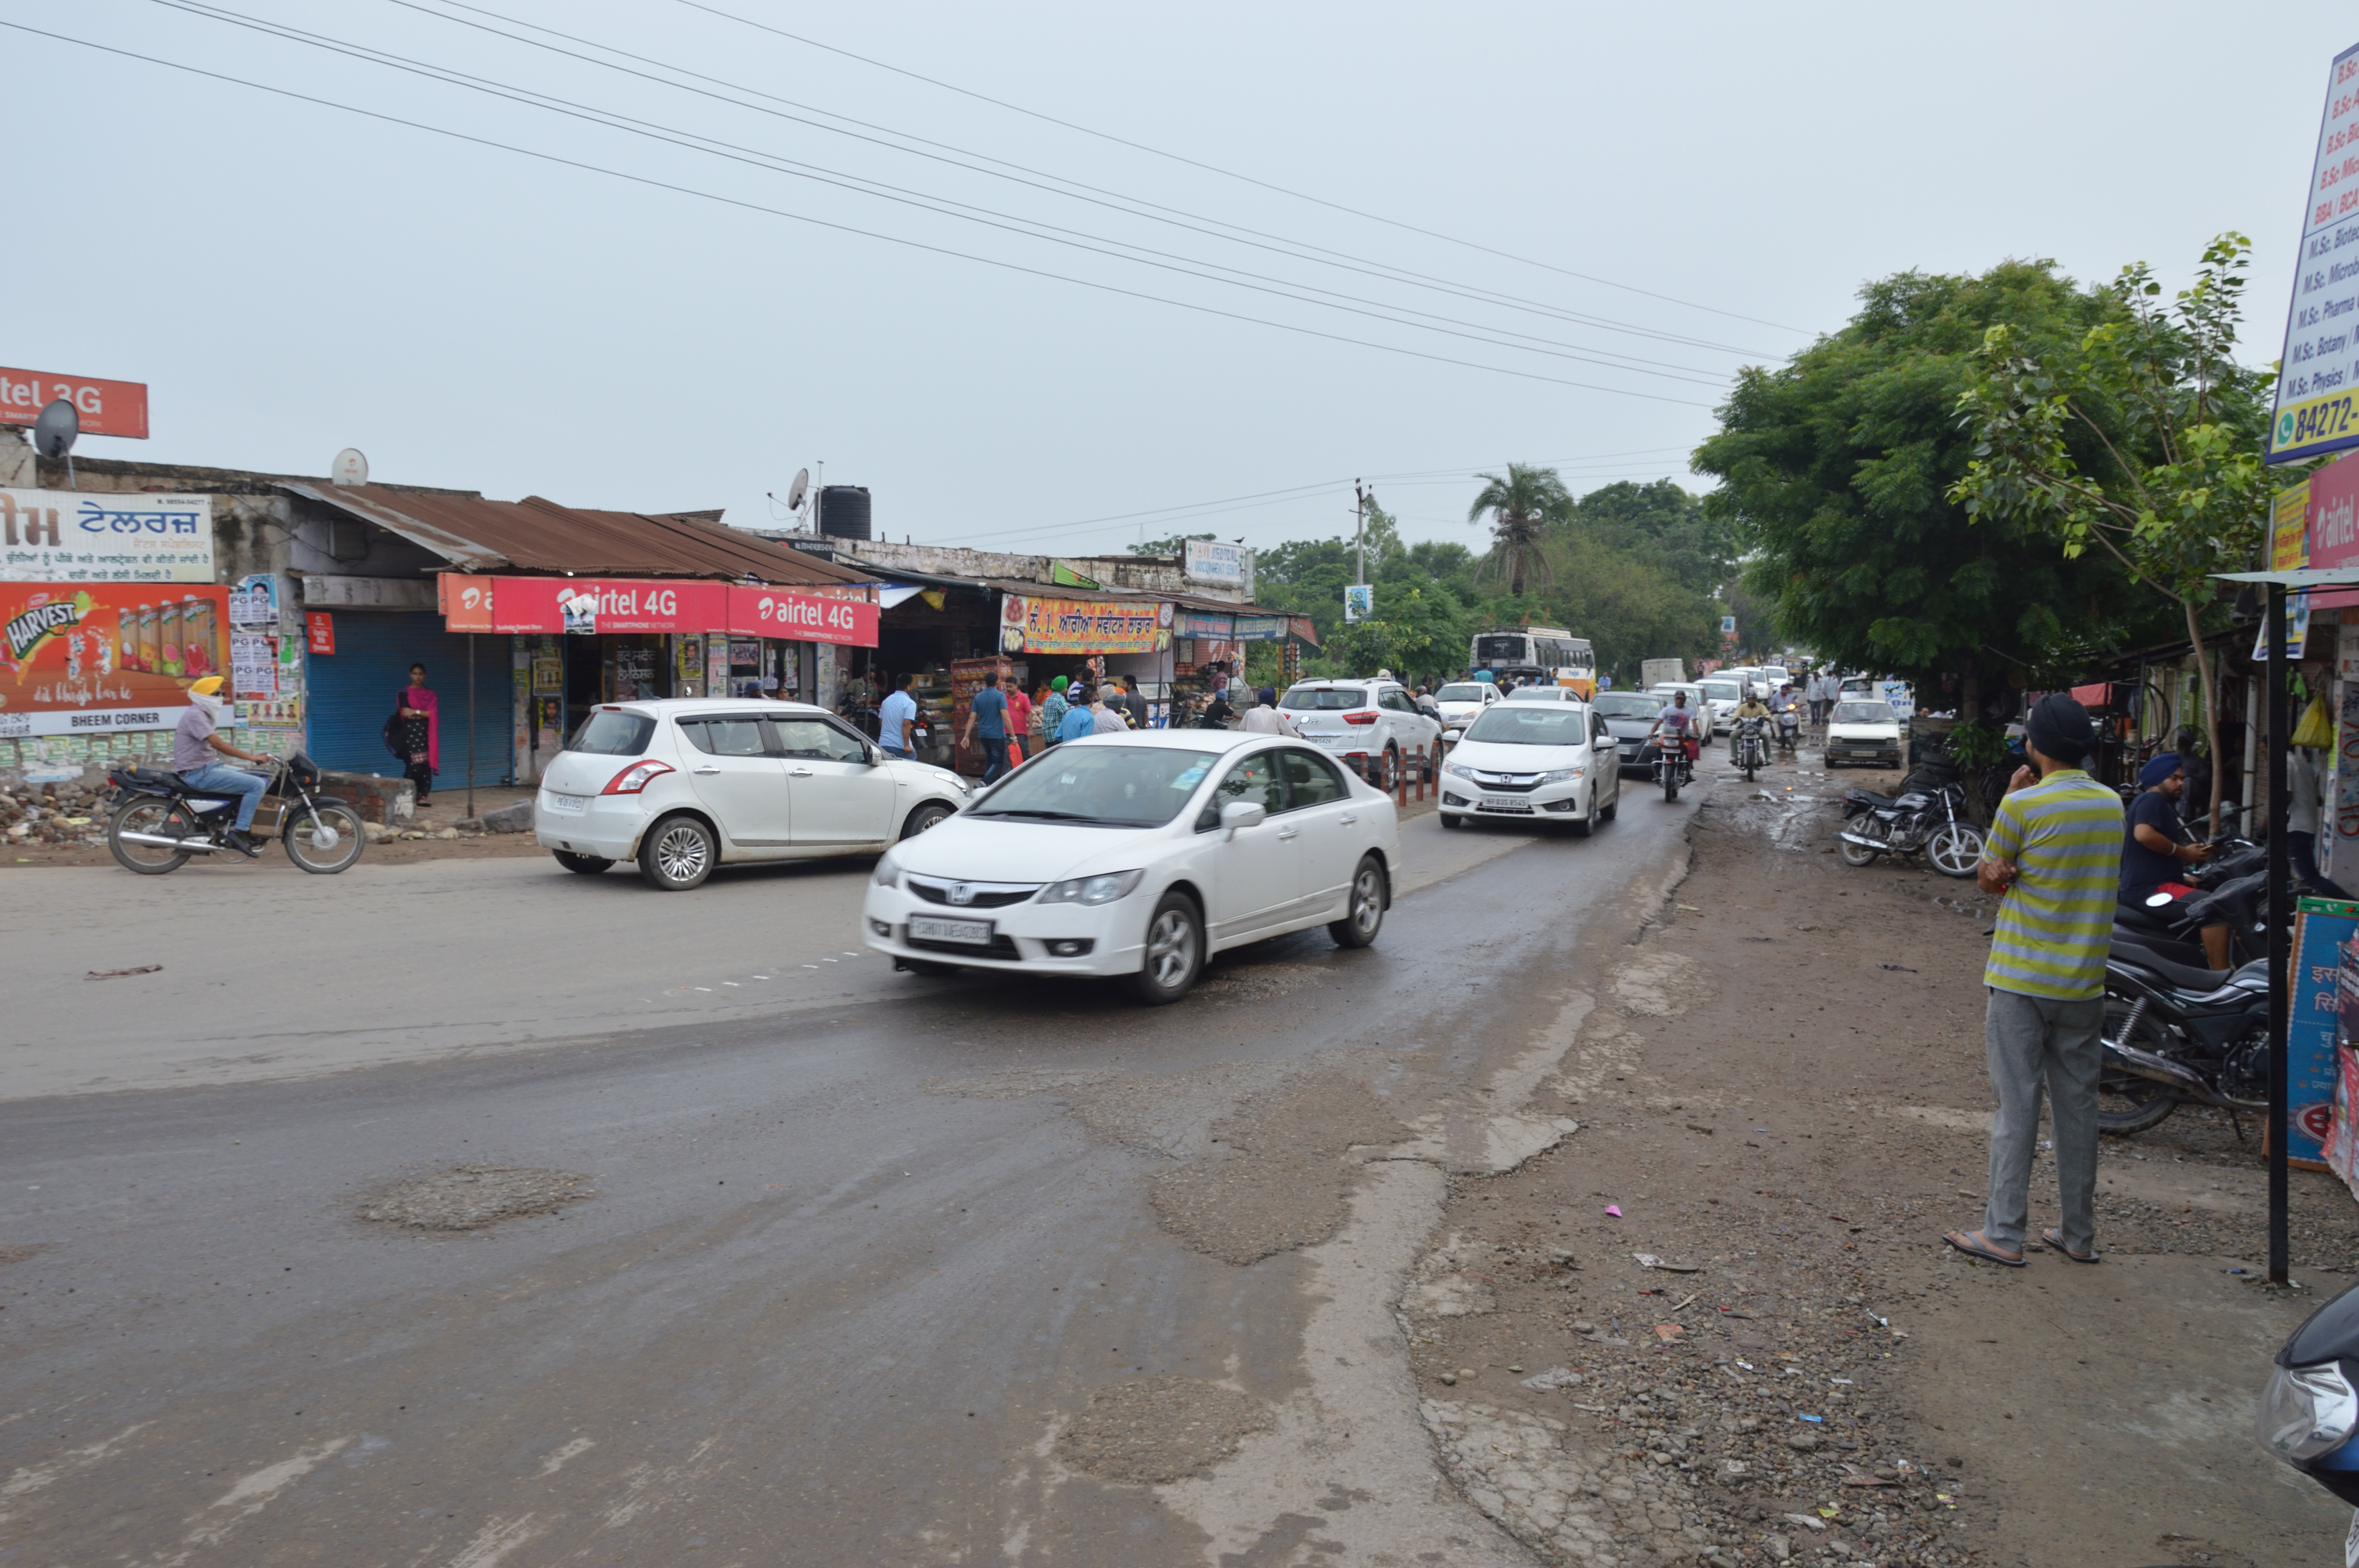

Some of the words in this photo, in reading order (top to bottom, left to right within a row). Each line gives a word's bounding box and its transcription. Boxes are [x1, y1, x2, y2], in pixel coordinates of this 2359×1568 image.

[2335, 56, 2358, 87] B.Sc
[2328, 92, 2354, 122] B.Sc
[2320, 128, 2346, 156] B.Sc
[2317, 165, 2341, 192] B.Sc
[2310, 197, 2335, 229] BBA
[2335, 185, 2358, 218] BCA
[2303, 228, 2333, 260] M.Sc.
[2332, 223, 2357, 252] Biote
[2299, 267, 2327, 298] M.Sc.
[2325, 254, 2358, 289] Microb
[2294, 302, 2321, 334] M.Sc.
[2319, 292, 2357, 325] Pharma
[2288, 337, 2316, 368] M.Sc.
[2314, 329, 2350, 359] Botany
[1, 373, 48, 410] tel
[74, 382, 110, 418] G
[2283, 374, 2310, 401] M.Sc.
[2308, 365, 2349, 398] Physics
[2292, 392, 2354, 446] 84272
[18, 500, 67, 552] ਮ
[75, 496, 207, 538] ਟੇਲਰਜ਼
[2324, 490, 2357, 554] airtel
[3, 597, 81, 659] HARVEST
[229, 596, 249, 605] PG
[231, 637, 251, 647] PG
[234, 663, 254, 674] PG
[251, 636, 262, 648] P
[249, 596, 269, 605] PG
[253, 665, 275, 675] PG
[593, 584, 644, 616] irtel
[613, 642, 632, 663] ਛੇਟੇ
[612, 660, 658, 683] ਨੈਮੀਨੇਸਨ
[631, 645, 660, 664] ਸਟੇਟ
[641, 587, 681, 618] 4G
[774, 594, 829, 629] airtel
[825, 601, 859, 633] 4G
[1025, 601, 1044, 637] ਨੰ.
[1043, 608, 1057, 636] 1.
[1054, 604, 1097, 639] ਆਰੀਆ
[1092, 605, 1128, 640] ਸਵੀਟਸ
[1125, 610, 1158, 637] ਲਾਂਡਾਰਾ
[65, 712, 113, 730] BHEEM
[112, 710, 162, 730] CORNER
[2306, 959, 2341, 985] इस
[2310, 987, 2339, 1014] सि
[2314, 1028, 2338, 1053] चु